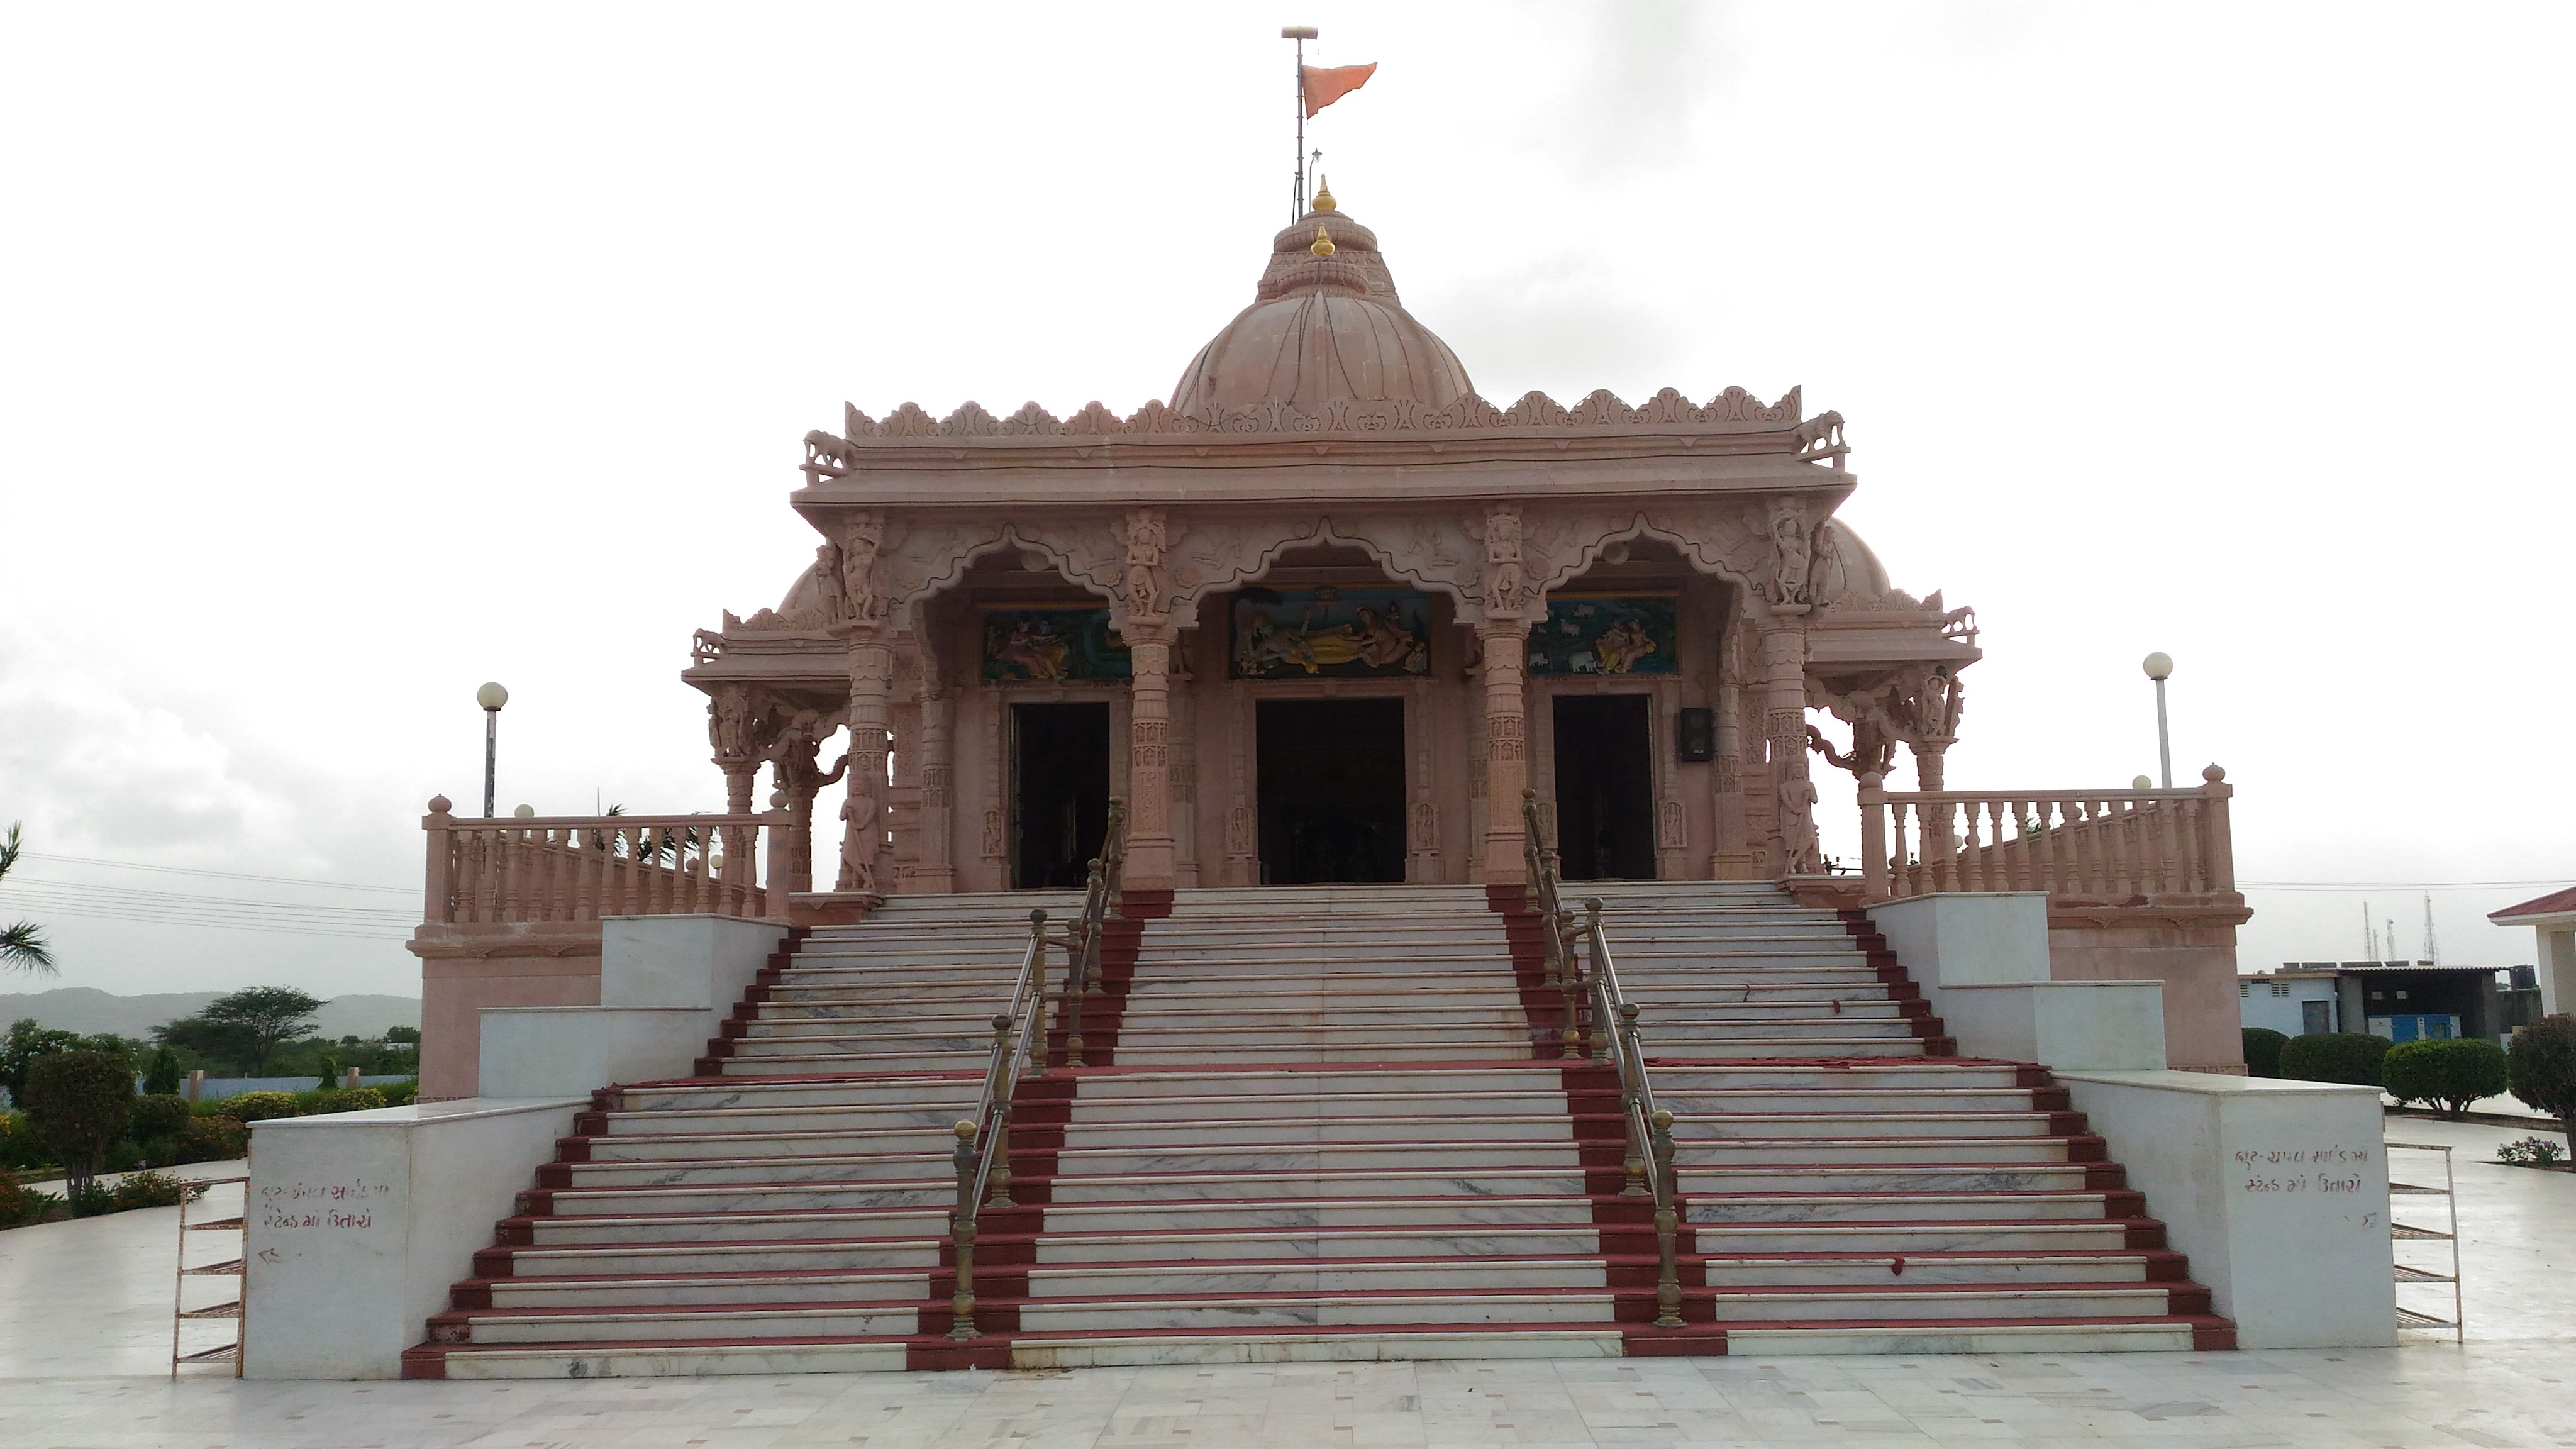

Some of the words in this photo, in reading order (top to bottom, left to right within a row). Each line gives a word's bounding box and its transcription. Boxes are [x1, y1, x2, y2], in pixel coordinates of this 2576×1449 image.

[2242, 1175, 2305, 1195] સ્ટેન્ડ મ
[2314, 1169, 2363, 1194] ઉતારો
[260, 1207, 323, 1232] રટેડમા
[321, 1205, 376, 1231] ઉતારો